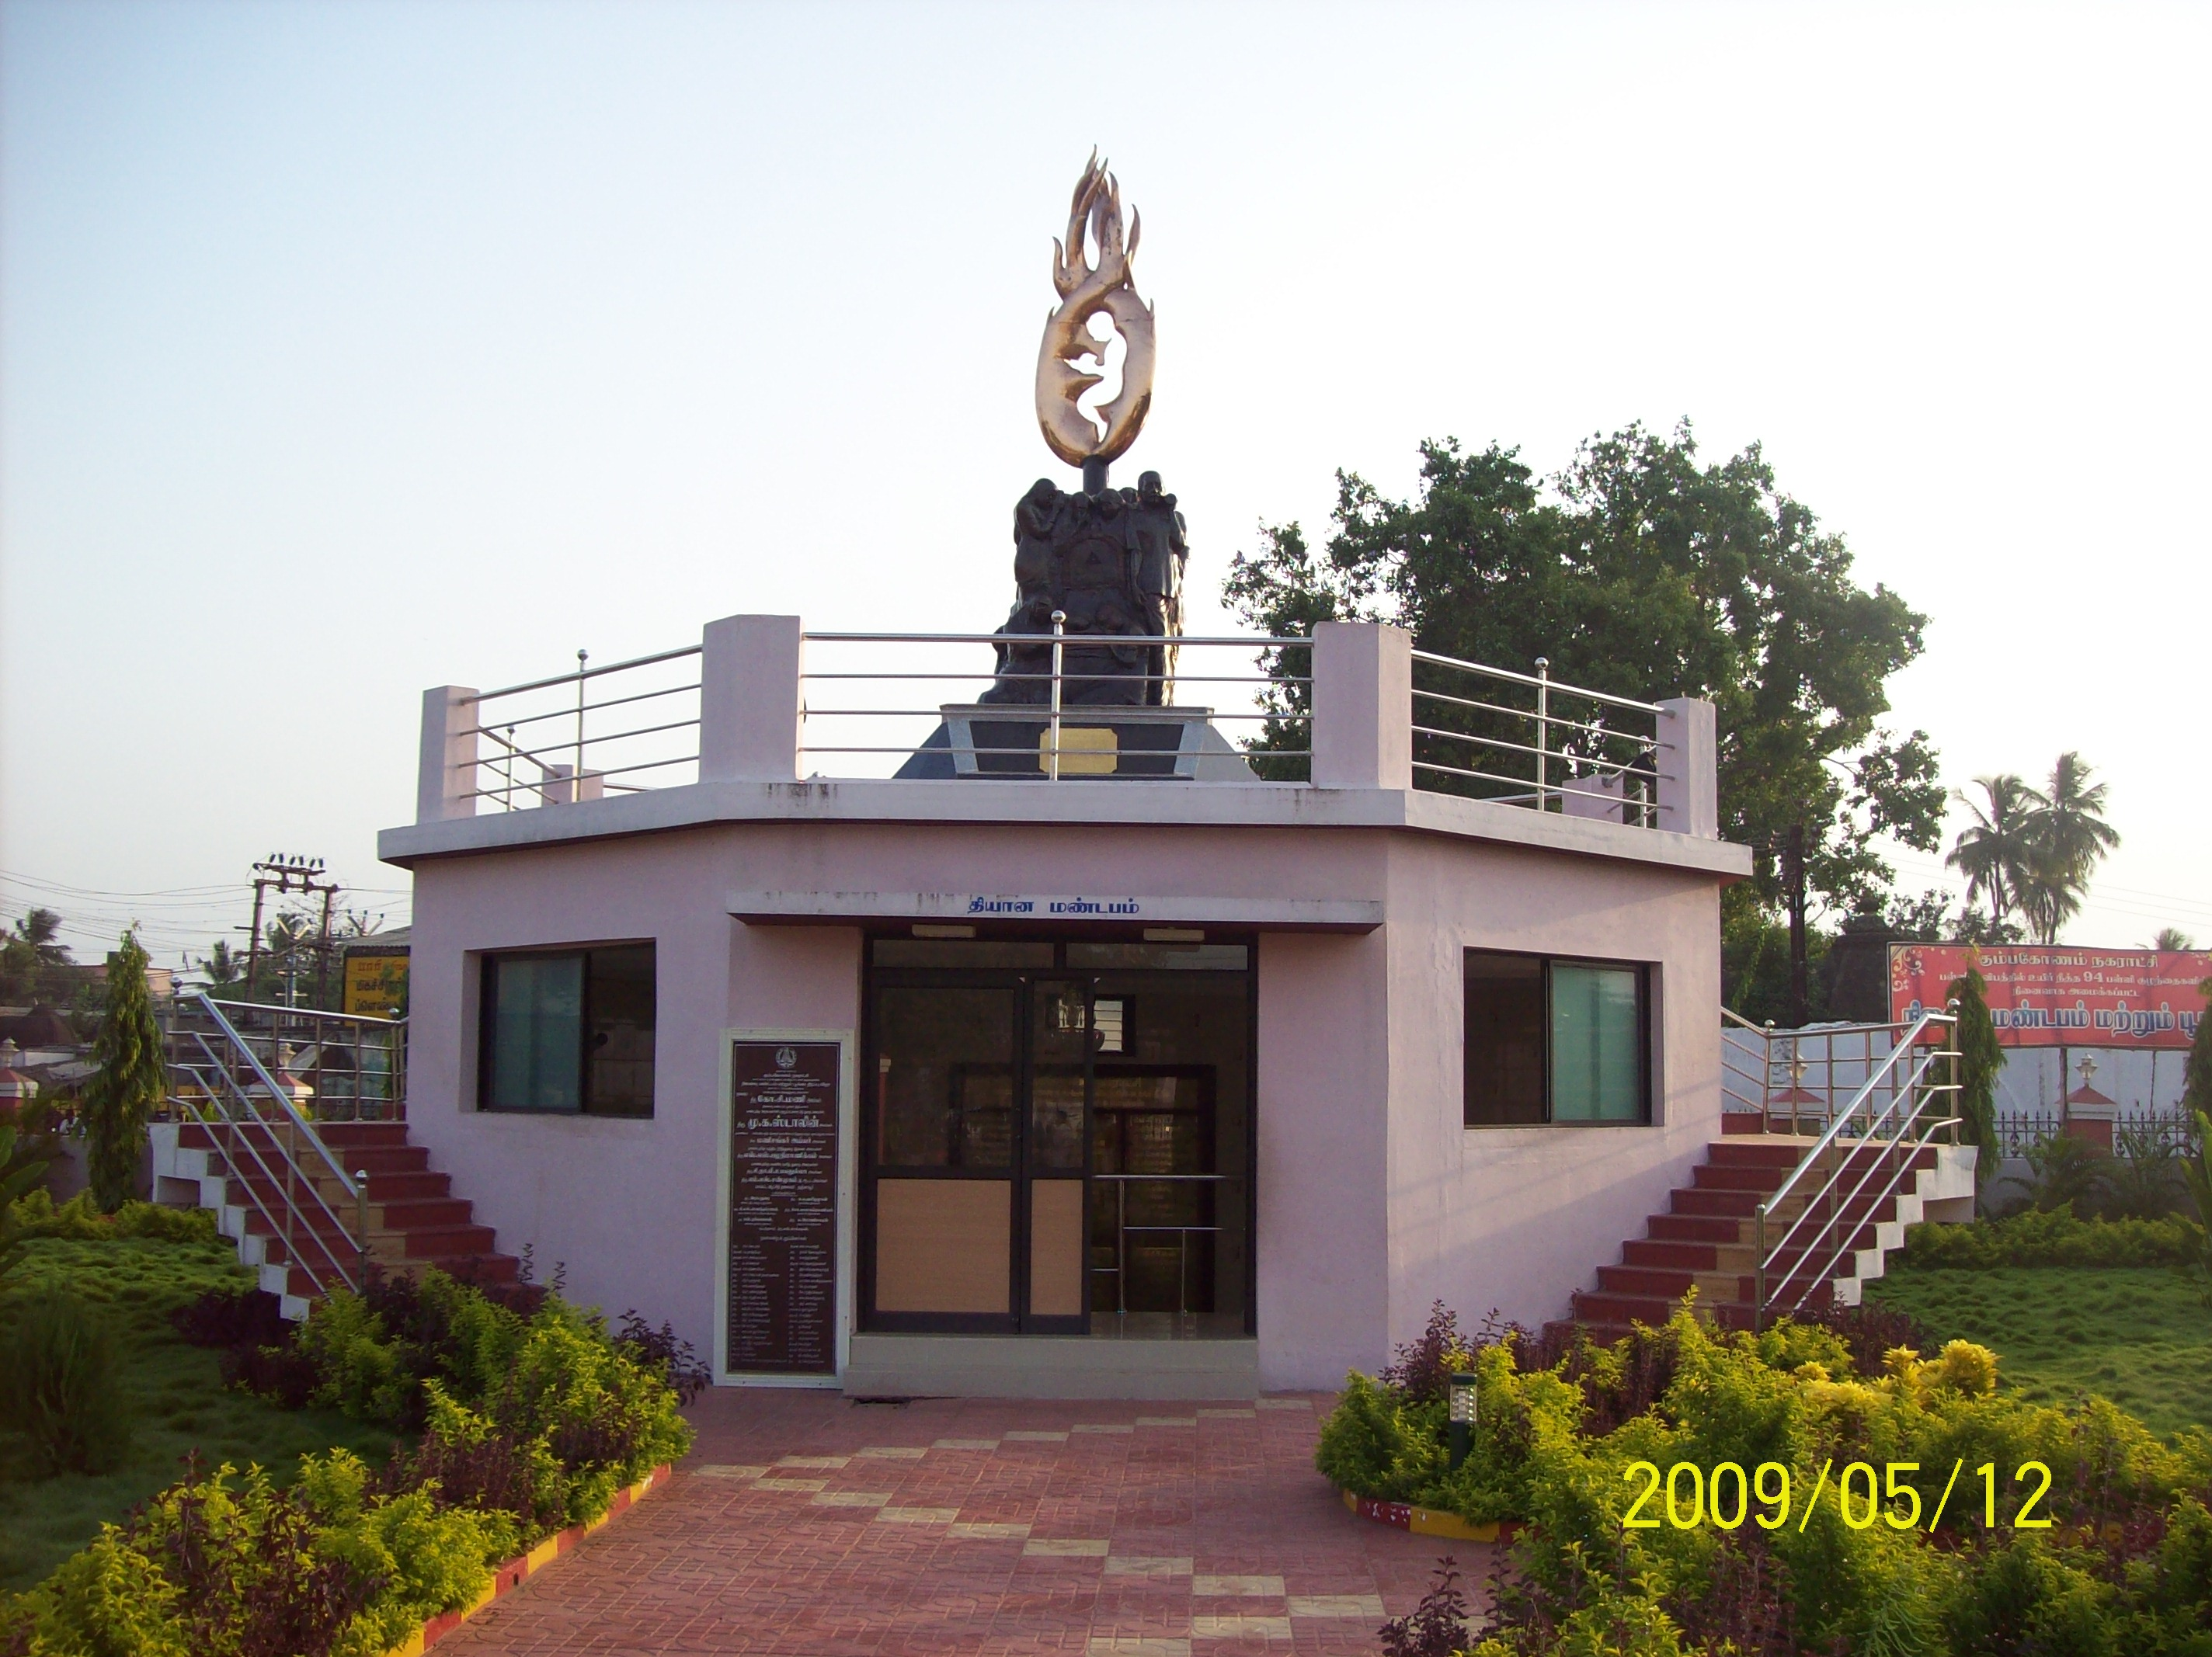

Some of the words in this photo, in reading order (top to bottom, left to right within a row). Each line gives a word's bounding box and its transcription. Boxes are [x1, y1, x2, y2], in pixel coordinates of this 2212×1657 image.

[963, 890, 1038, 919] தியான
[1046, 889, 1143, 915] மண்டபம்
[1974, 945, 2092, 970] தம்பகோணம்
[2089, 950, 2162, 973] நகராட்சி
[1977, 964, 2029, 987] விபத்தில்
[2008, 981, 2068, 999] நினைவாக
[2064, 980, 2141, 999] அமைக்கப்பட்ட
[1984, 994, 2099, 1032] மண்டபம்
[2089, 994, 2175, 1040] மற்றும்
[745, 1110, 822, 1131] மு.க.ஸ்டாலின்.
[1608, 1454, 2059, 1538] 2009/05/12